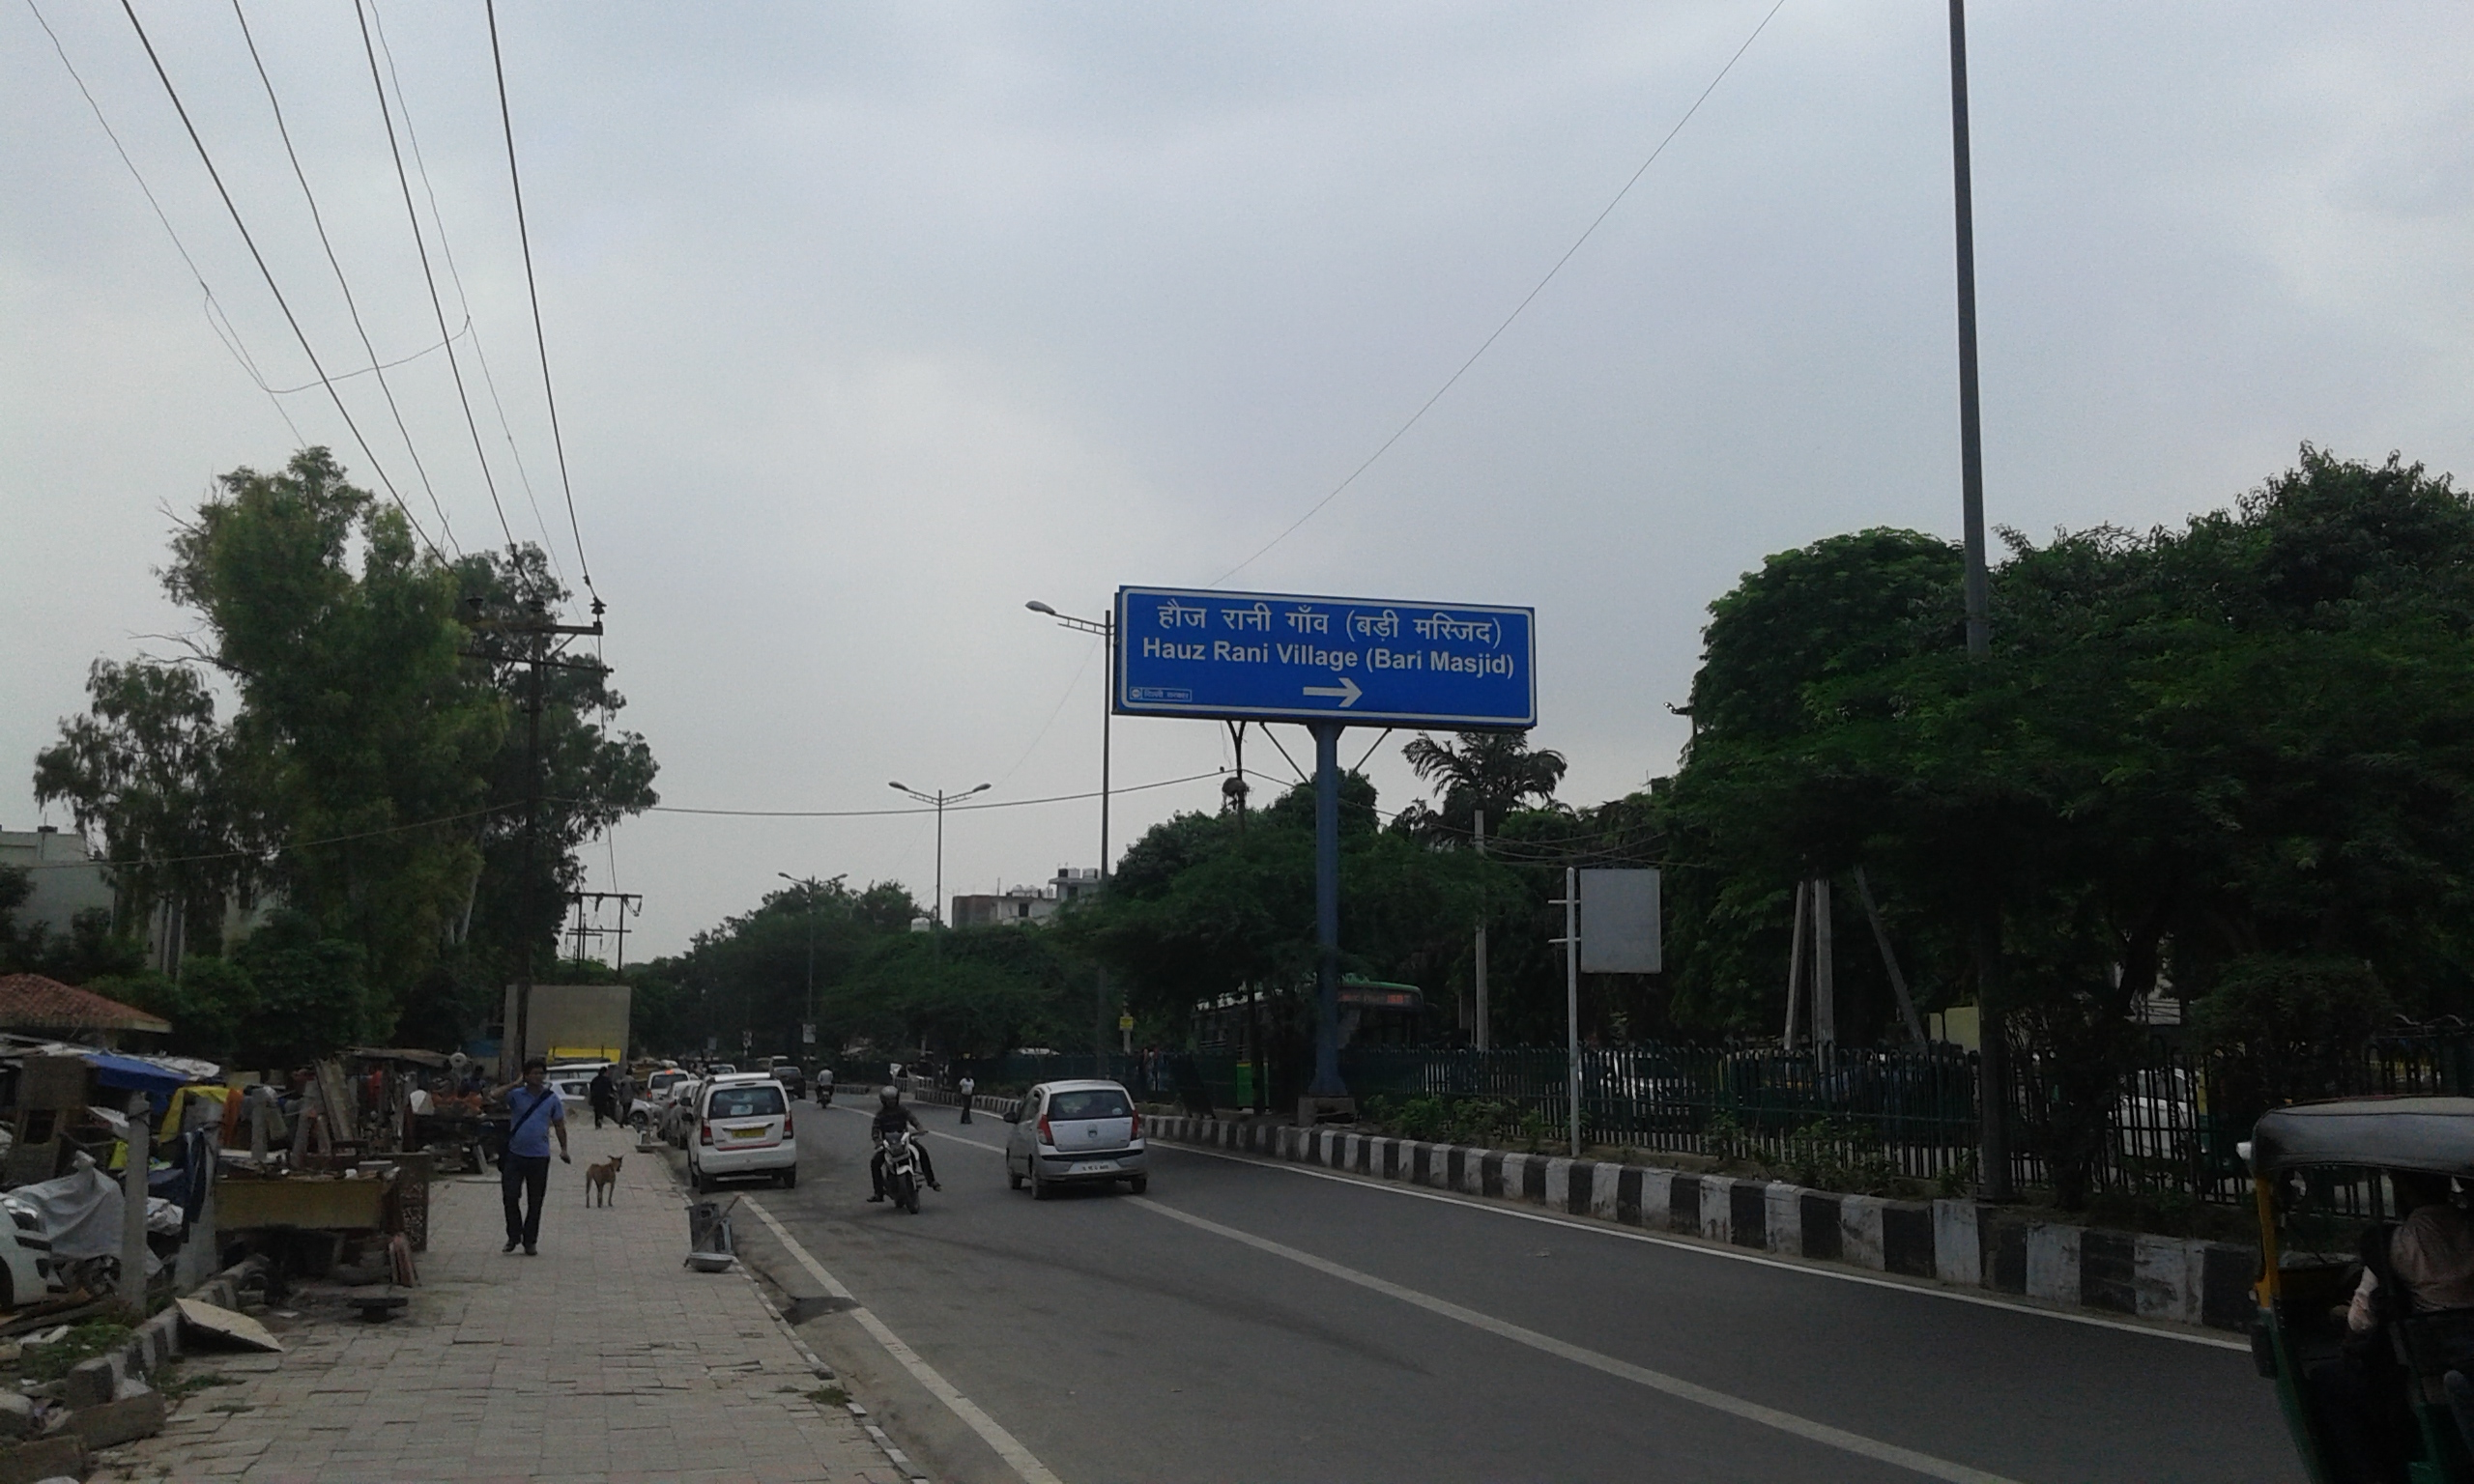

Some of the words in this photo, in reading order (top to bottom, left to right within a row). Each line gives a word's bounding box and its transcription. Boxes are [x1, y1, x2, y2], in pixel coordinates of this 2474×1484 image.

[1150, 592, 1212, 633] हौज
[1218, 595, 1276, 636] रानी
[1281, 600, 1335, 639] गाँव
[1350, 601, 1402, 643] (बड़ी
[1410, 608, 1497, 646] मस्जिद
[1136, 636, 1211, 668] Hauz
[1209, 635, 1273, 670] Rani
[1271, 639, 1360, 677] Village
[1371, 642, 1427, 677] Bari
[1427, 647, 1510, 685] Masjid)